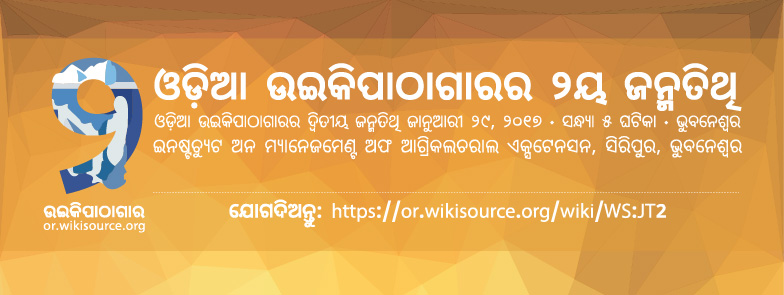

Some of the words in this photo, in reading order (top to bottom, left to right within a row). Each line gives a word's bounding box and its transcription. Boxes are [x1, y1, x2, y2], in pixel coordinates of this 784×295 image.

[152, 61, 253, 113] ଓଡ଼ିଆ
[265, 61, 536, 105] ଉଇକିପାଠାଗାରର
[548, 62, 613, 109] ୨ୟ
[618, 57, 744, 115] ଜନ୍ମତିଥ୍
[148, 107, 197, 137] ଓଡ଼ିଆ
[195, 108, 306, 133] ଉଇକିପାଠାଗାରର
[296, 107, 354, 139] ଦ୍ବିତୀୟ
[353, 106, 406, 137] ଜନ୍ମତିଥ୍
[407, 107, 466, 135] ଜାନୁଆରୀ
[470, 113, 494, 131] ୨୯,
[503, 112, 542, 129] ୨୦୧୭
[561, 113, 595, 130] ସନ୍ଧ୍ୟା
[615, 105, 660, 135] ଘଟିକା
[671, 109, 745, 138] ଭୁବନେଶ୍ବର
[149, 131, 226, 163] ଇନଷ୍ଟିଚ୍ୟୁଟ
[223, 135, 261, 157] ଅନ
[261, 132, 361, 161] ମ୍ୟାନେଜମେଣ୍ଟ
[362, 136, 393, 158] ଅଫ
[395, 132, 501, 160] ଆଗ୍ରିକଲଚରାଲ
[505, 133, 595, 163] ଏକ୍ସଟେନସନ
[597, 126, 659, 163] ସିରିପୁର,
[665, 129, 748, 164] ଭୁବନେଶ୍ବର
[39, 216, 151, 235] or.wikisource.org
[42, 195, 151, 226] ଉଇକିପାଠାଗାର
[223, 193, 327, 231] ଯୋଗଦିଅନ୍ତୁ:
[326, 195, 425, 225] https://or.
[419, 198, 553, 225] wikisource.org
[558, 195, 671, 223] wiki/WS:JT2